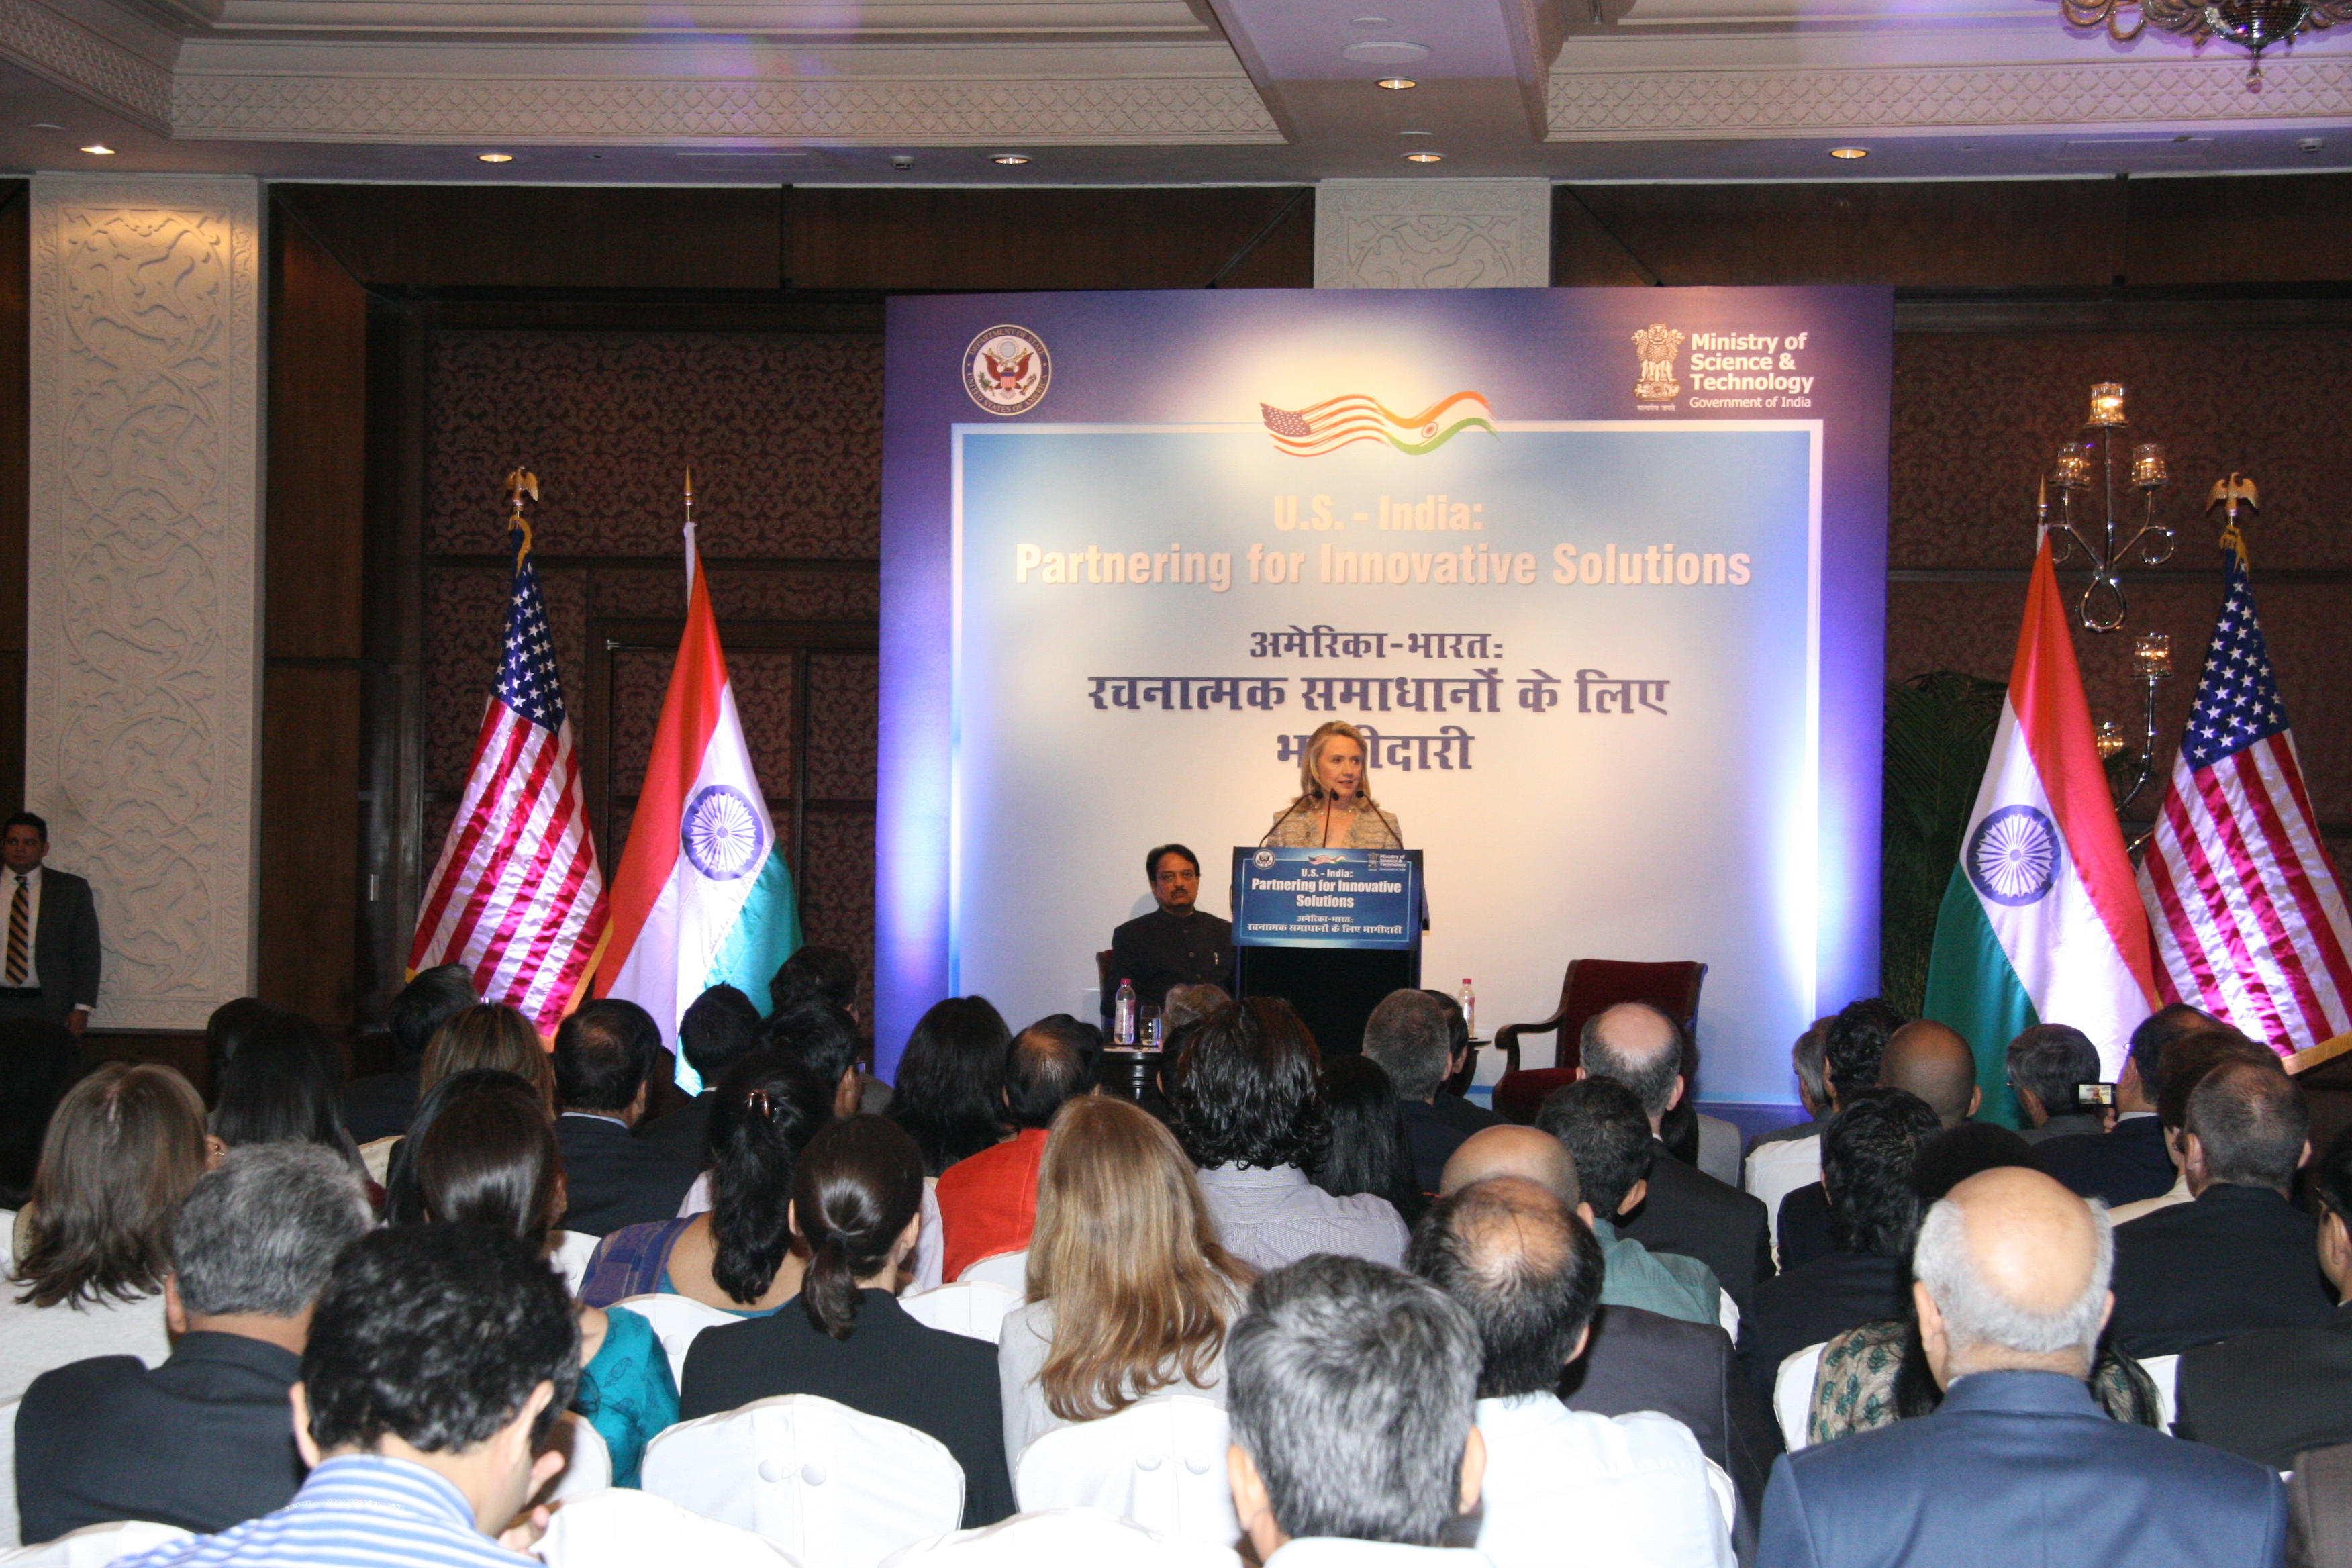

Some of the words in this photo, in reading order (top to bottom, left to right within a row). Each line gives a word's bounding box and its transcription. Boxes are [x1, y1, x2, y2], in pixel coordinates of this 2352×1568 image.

[1689, 326, 1781, 357] Ministry
[1783, 328, 1810, 353] of
[1687, 348, 1775, 374] Science
[1770, 347, 1802, 375] &
[1689, 369, 1816, 398] Technology
[1633, 399, 1661, 415] मात्यमेव
[1657, 398, 1680, 415] जयतें
[1686, 390, 1765, 411] Government
[1762, 393, 1779, 413] of
[1778, 393, 1814, 411] India
[1271, 491, 1350, 536] U.S.
[1375, 489, 1488, 536] India:
[1014, 538, 1234, 599] Partnering
[1241, 537, 1306, 595] for
[1320, 538, 1540, 589] Innovative
[1547, 540, 1754, 590] Solutions
[1245, 620, 1389, 663] अमेरिका
[1403, 627, 1493, 663] भारत
[1088, 673, 1290, 716] रचनात्मक
[1301, 661, 1508, 718] समाधानों
[1512, 662, 1562, 716] कॆ
[1569, 663, 1673, 720] लिए
[1270, 716, 1475, 777] भदारी
[1247, 875, 1320, 897] Partnering
[1297, 866, 1322, 879] U.S.
[1315, 876, 1339, 896] for
[1322, 866, 1355, 881] India:
[1335, 875, 1404, 896] Innovative
[1295, 890, 1357, 913] Solutions
[1244, 920, 1289, 935] रचनात्मक
[1285, 919, 1332, 935] समाधानों
[1293, 910, 1331, 924] अमेरिका-
[1327, 919, 1342, 936] के
[1328, 912, 1357, 926] भारतः
[1336, 918, 1363, 935] लिए
[1361, 919, 1405, 938] भागीदारी